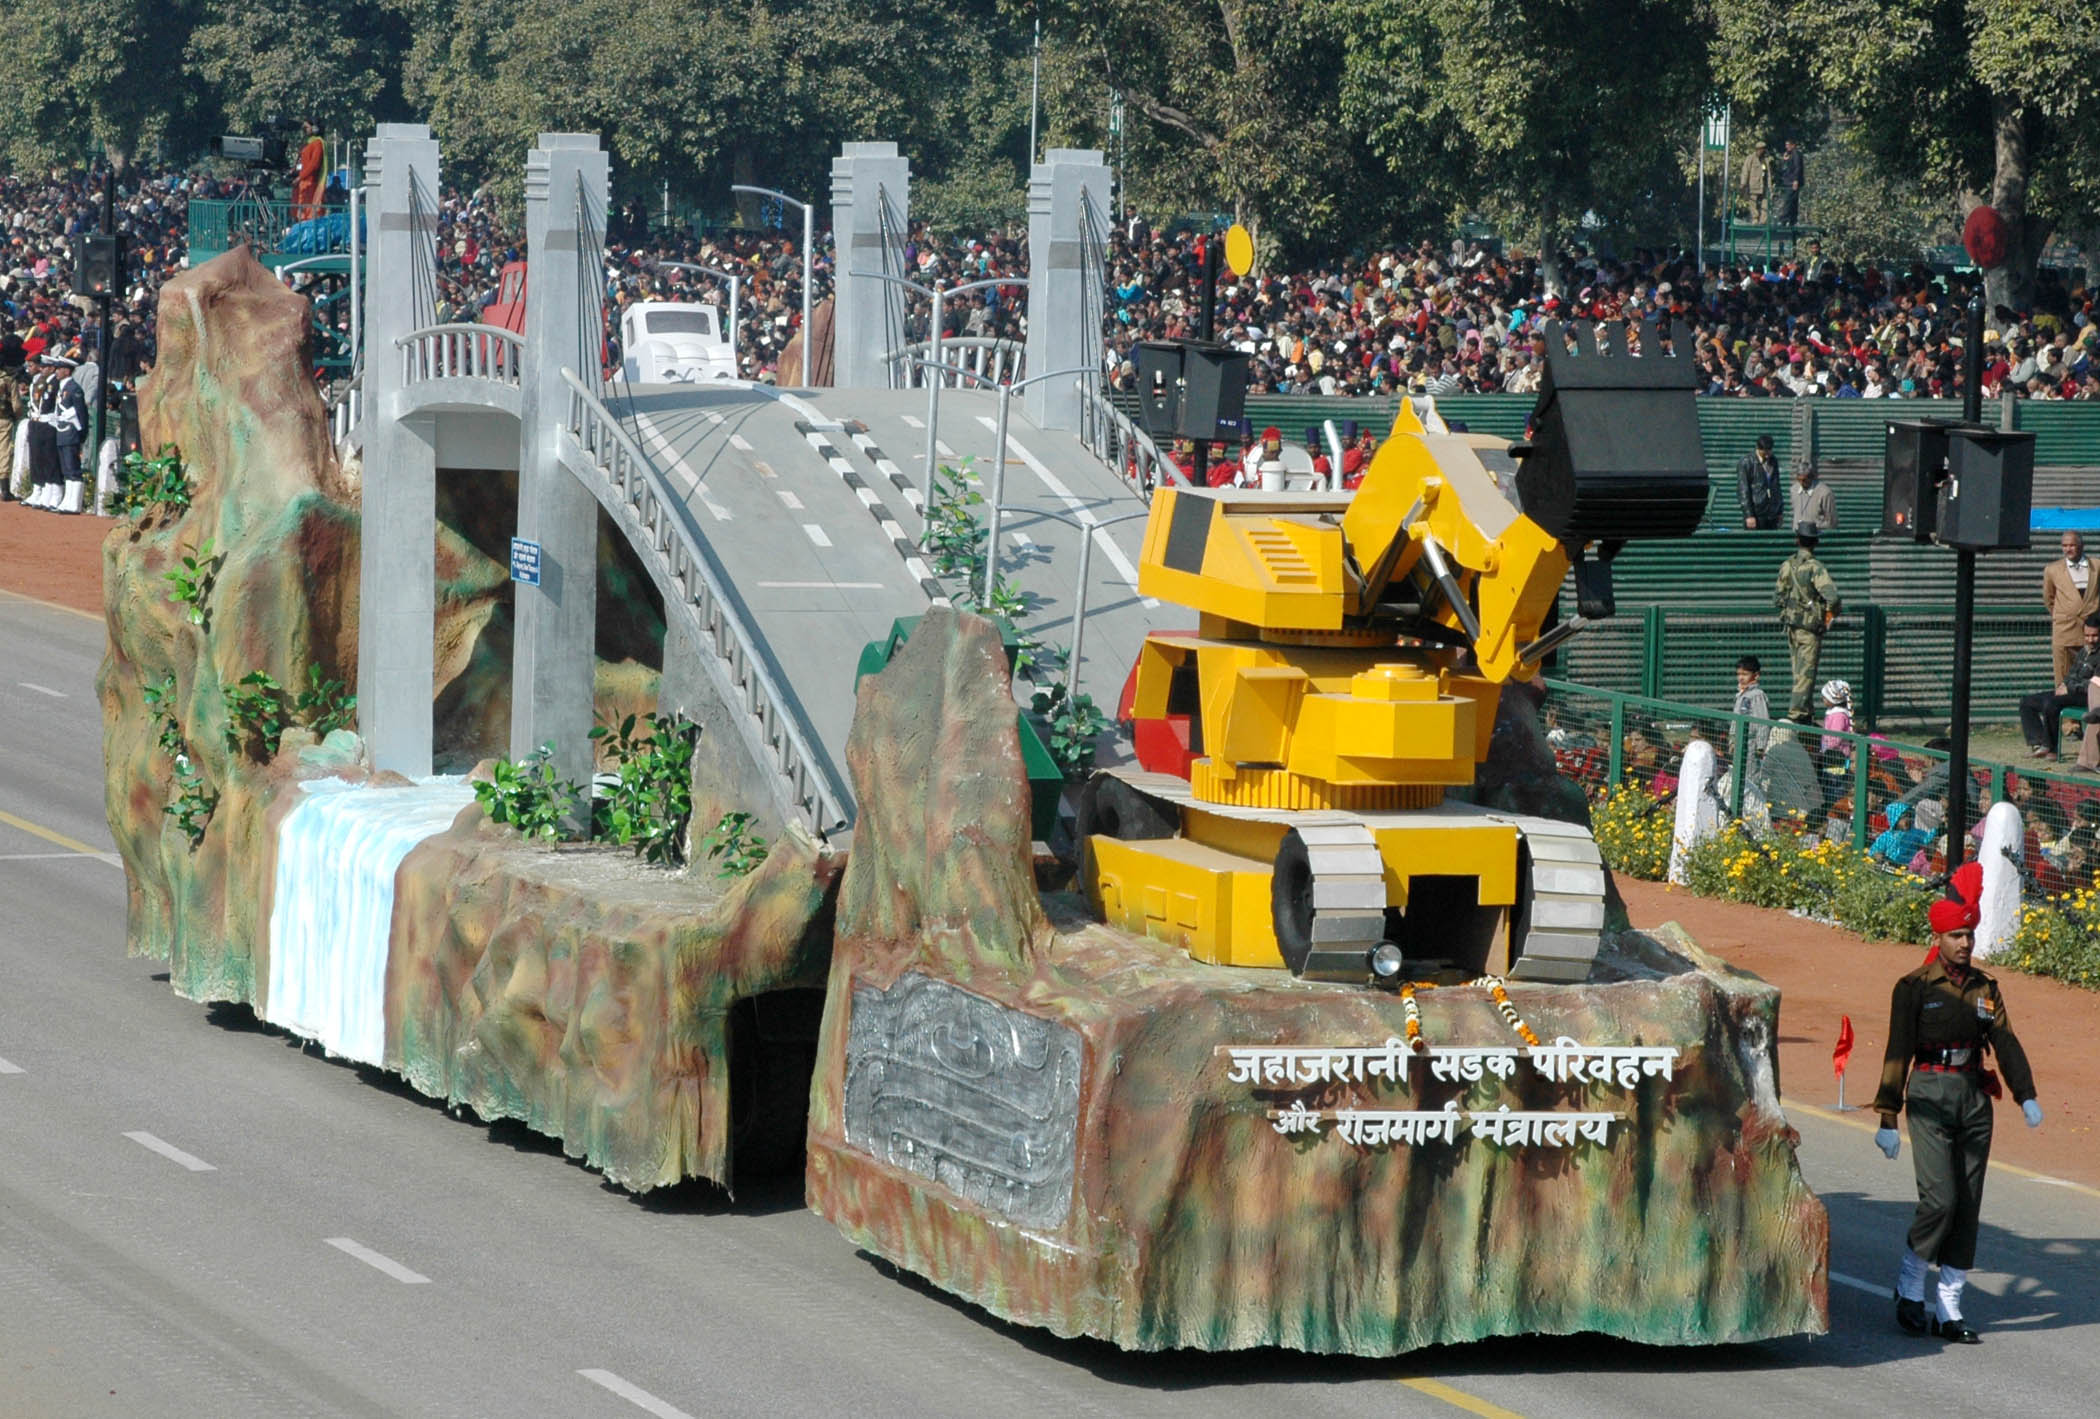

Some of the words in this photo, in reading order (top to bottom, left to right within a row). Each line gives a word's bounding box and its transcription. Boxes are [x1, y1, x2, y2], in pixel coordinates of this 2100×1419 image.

[1221, 1031, 1415, 1092] जहाजरानी
[1423, 1042, 1521, 1091] सडक
[1523, 1027, 1683, 1095] परिवहन
[1267, 1098, 1324, 1138] और
[1329, 1097, 1465, 1148] राजमार्ग
[1466, 1097, 1622, 1152] मंत्रालय